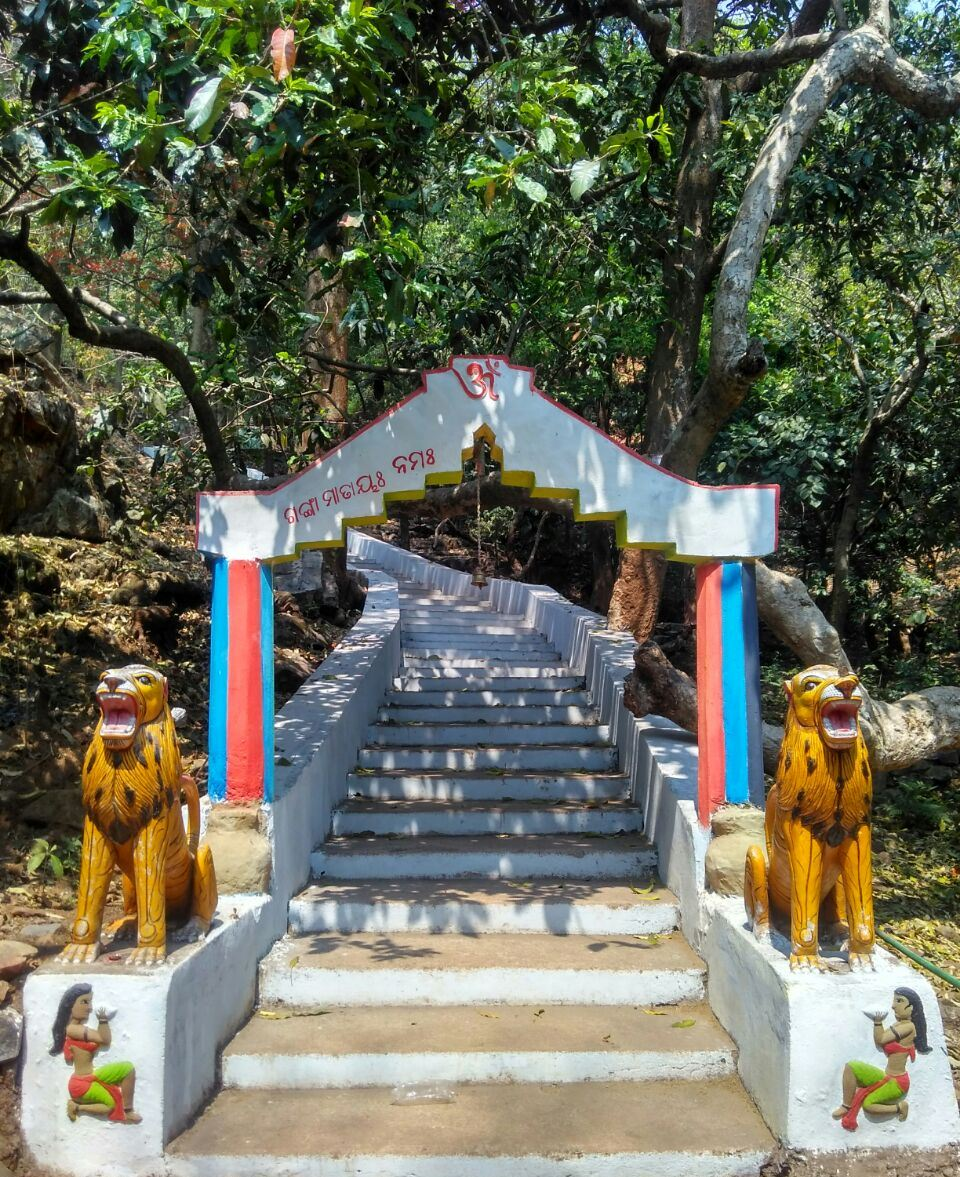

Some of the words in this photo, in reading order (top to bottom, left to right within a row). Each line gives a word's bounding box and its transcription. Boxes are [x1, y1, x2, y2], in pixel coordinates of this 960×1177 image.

[389, 444, 438, 477] ନମଃ
[276, 464, 391, 531] ଗଙ୍ଗା ମାତାତଃ